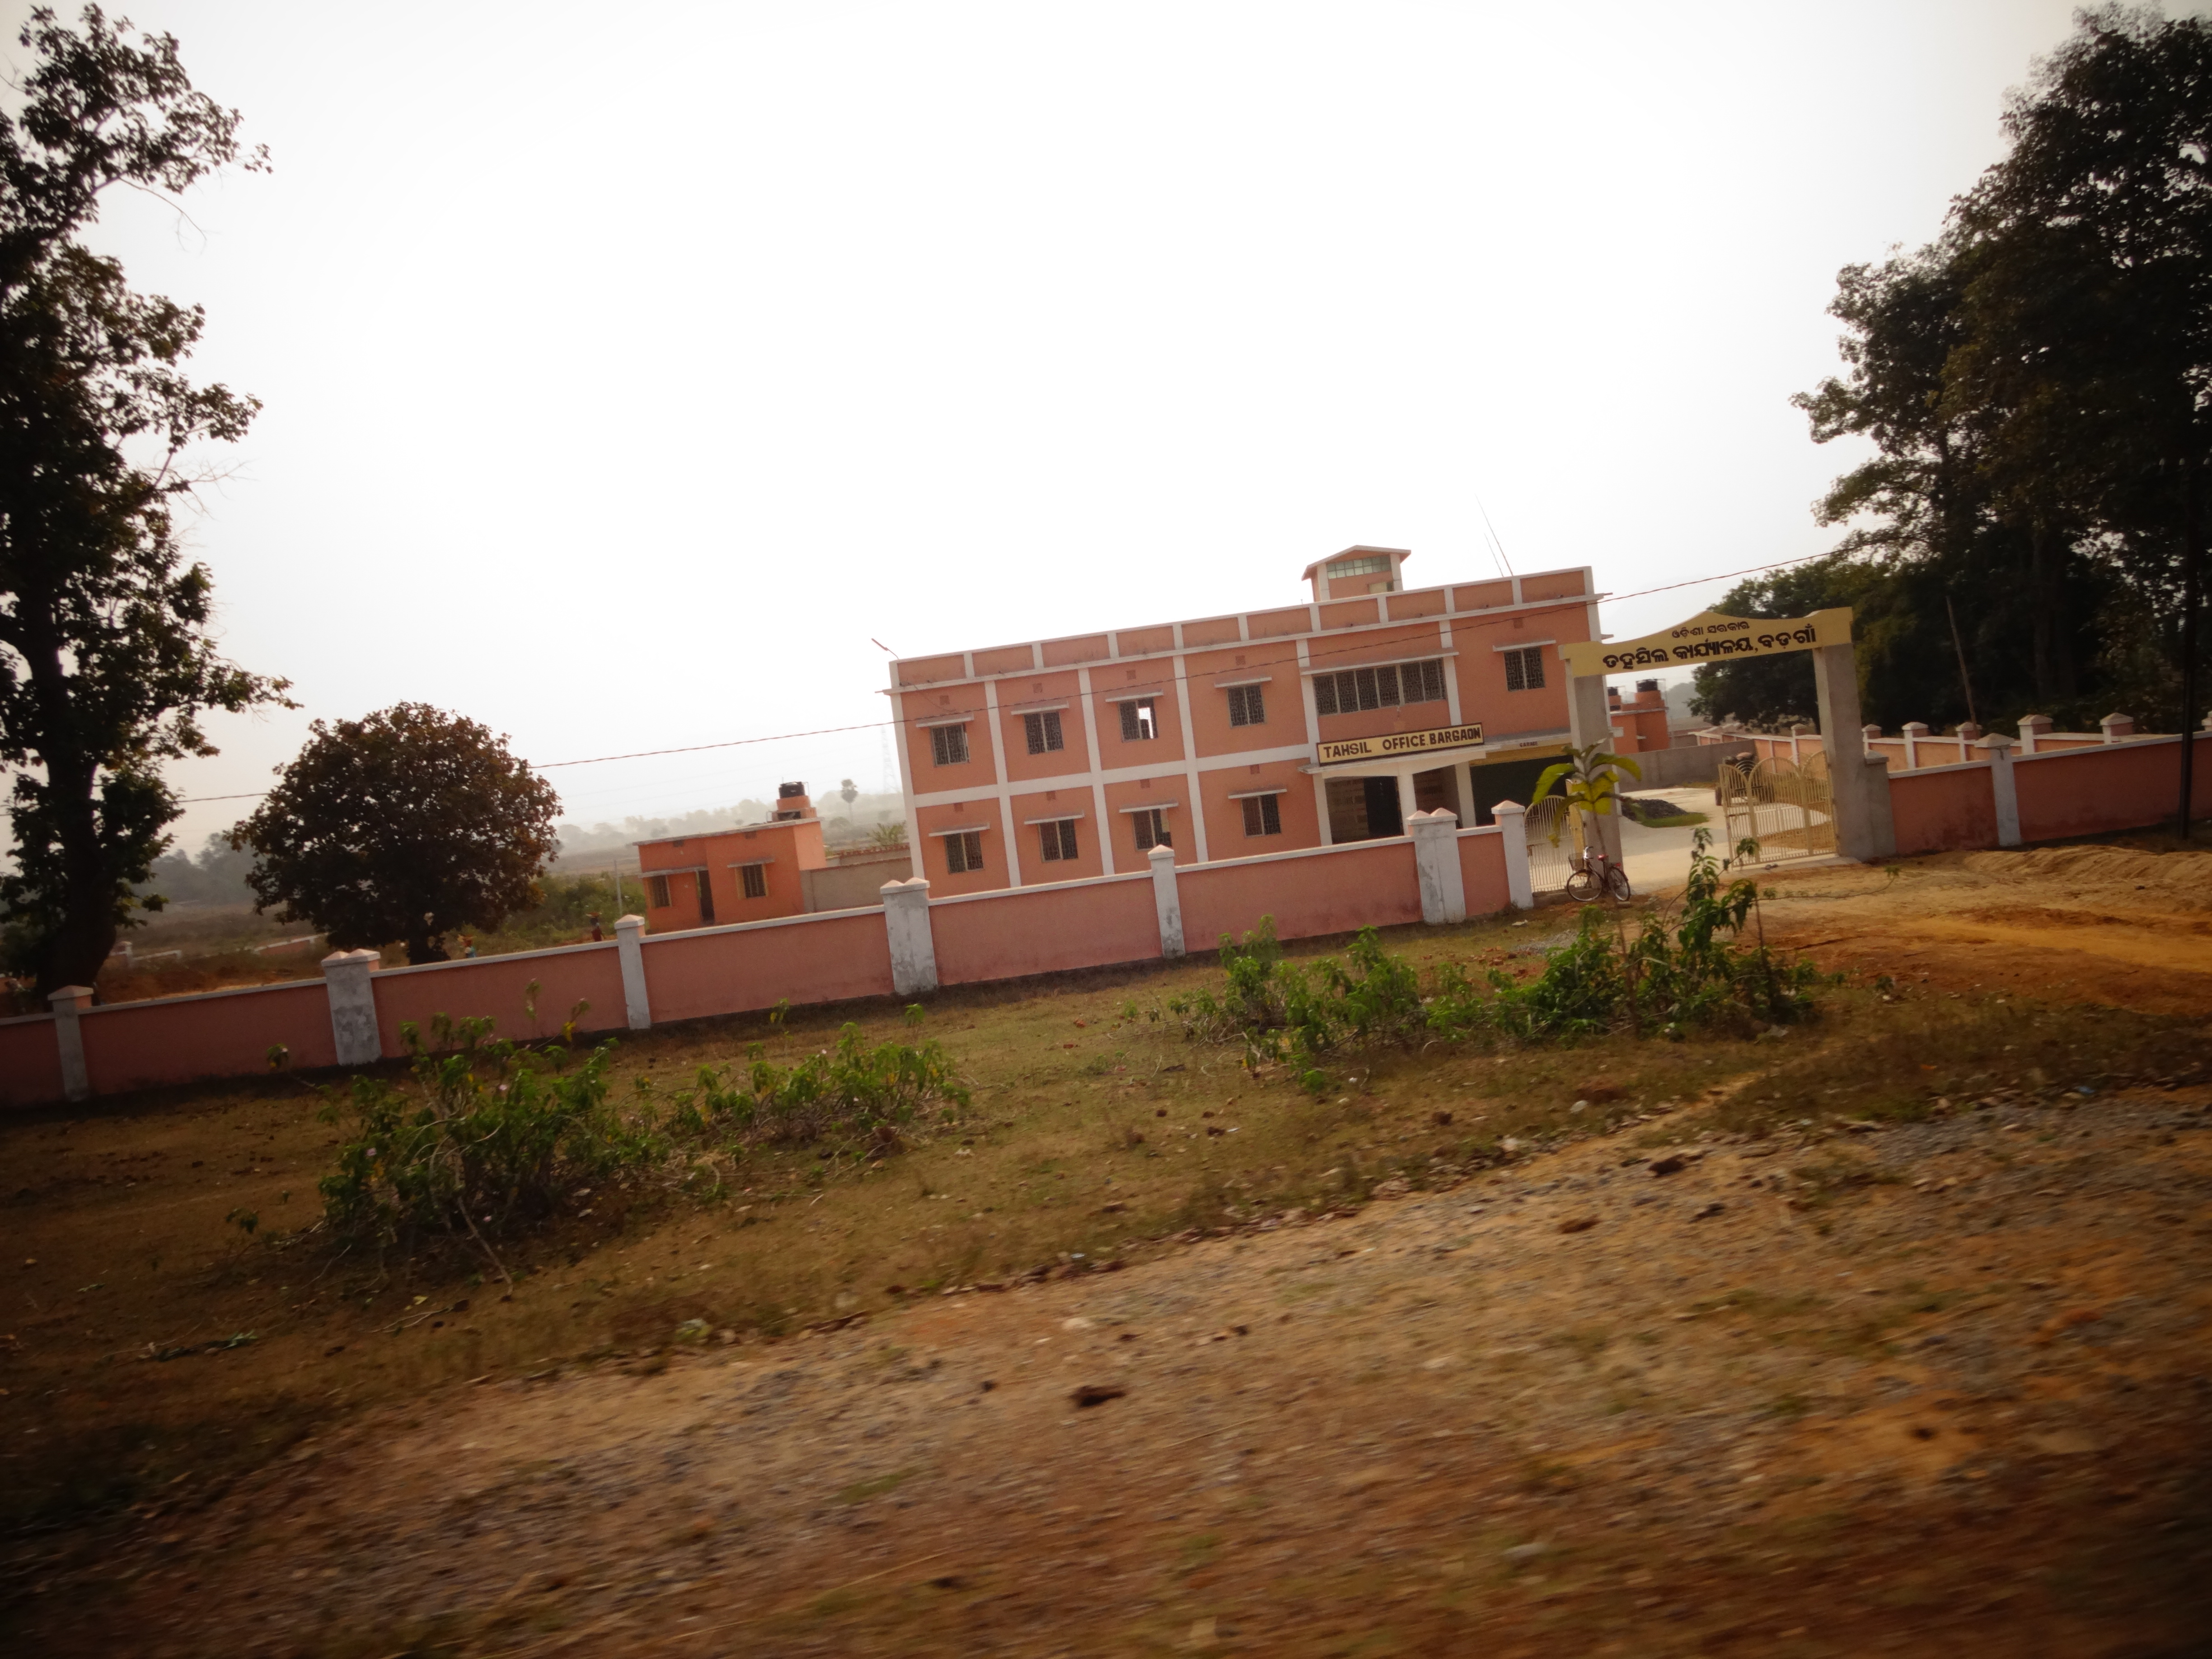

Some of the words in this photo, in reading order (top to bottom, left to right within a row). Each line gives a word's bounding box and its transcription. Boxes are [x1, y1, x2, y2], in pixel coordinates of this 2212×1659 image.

[1670, 623, 1707, 641] ଓଡ଼ିଶା
[1705, 618, 1751, 637] ସଚକାର
[1756, 619, 1818, 651] ବଡଗାଁ
[1601, 641, 1672, 673] ତହସିଲ
[1673, 635, 1756, 663] କାର୍ଯ୍ୟାଳୟ
[1321, 740, 1374, 759] TAHSIL
[1381, 732, 1428, 752] OFFICE
[1427, 725, 1483, 747] BARGAON